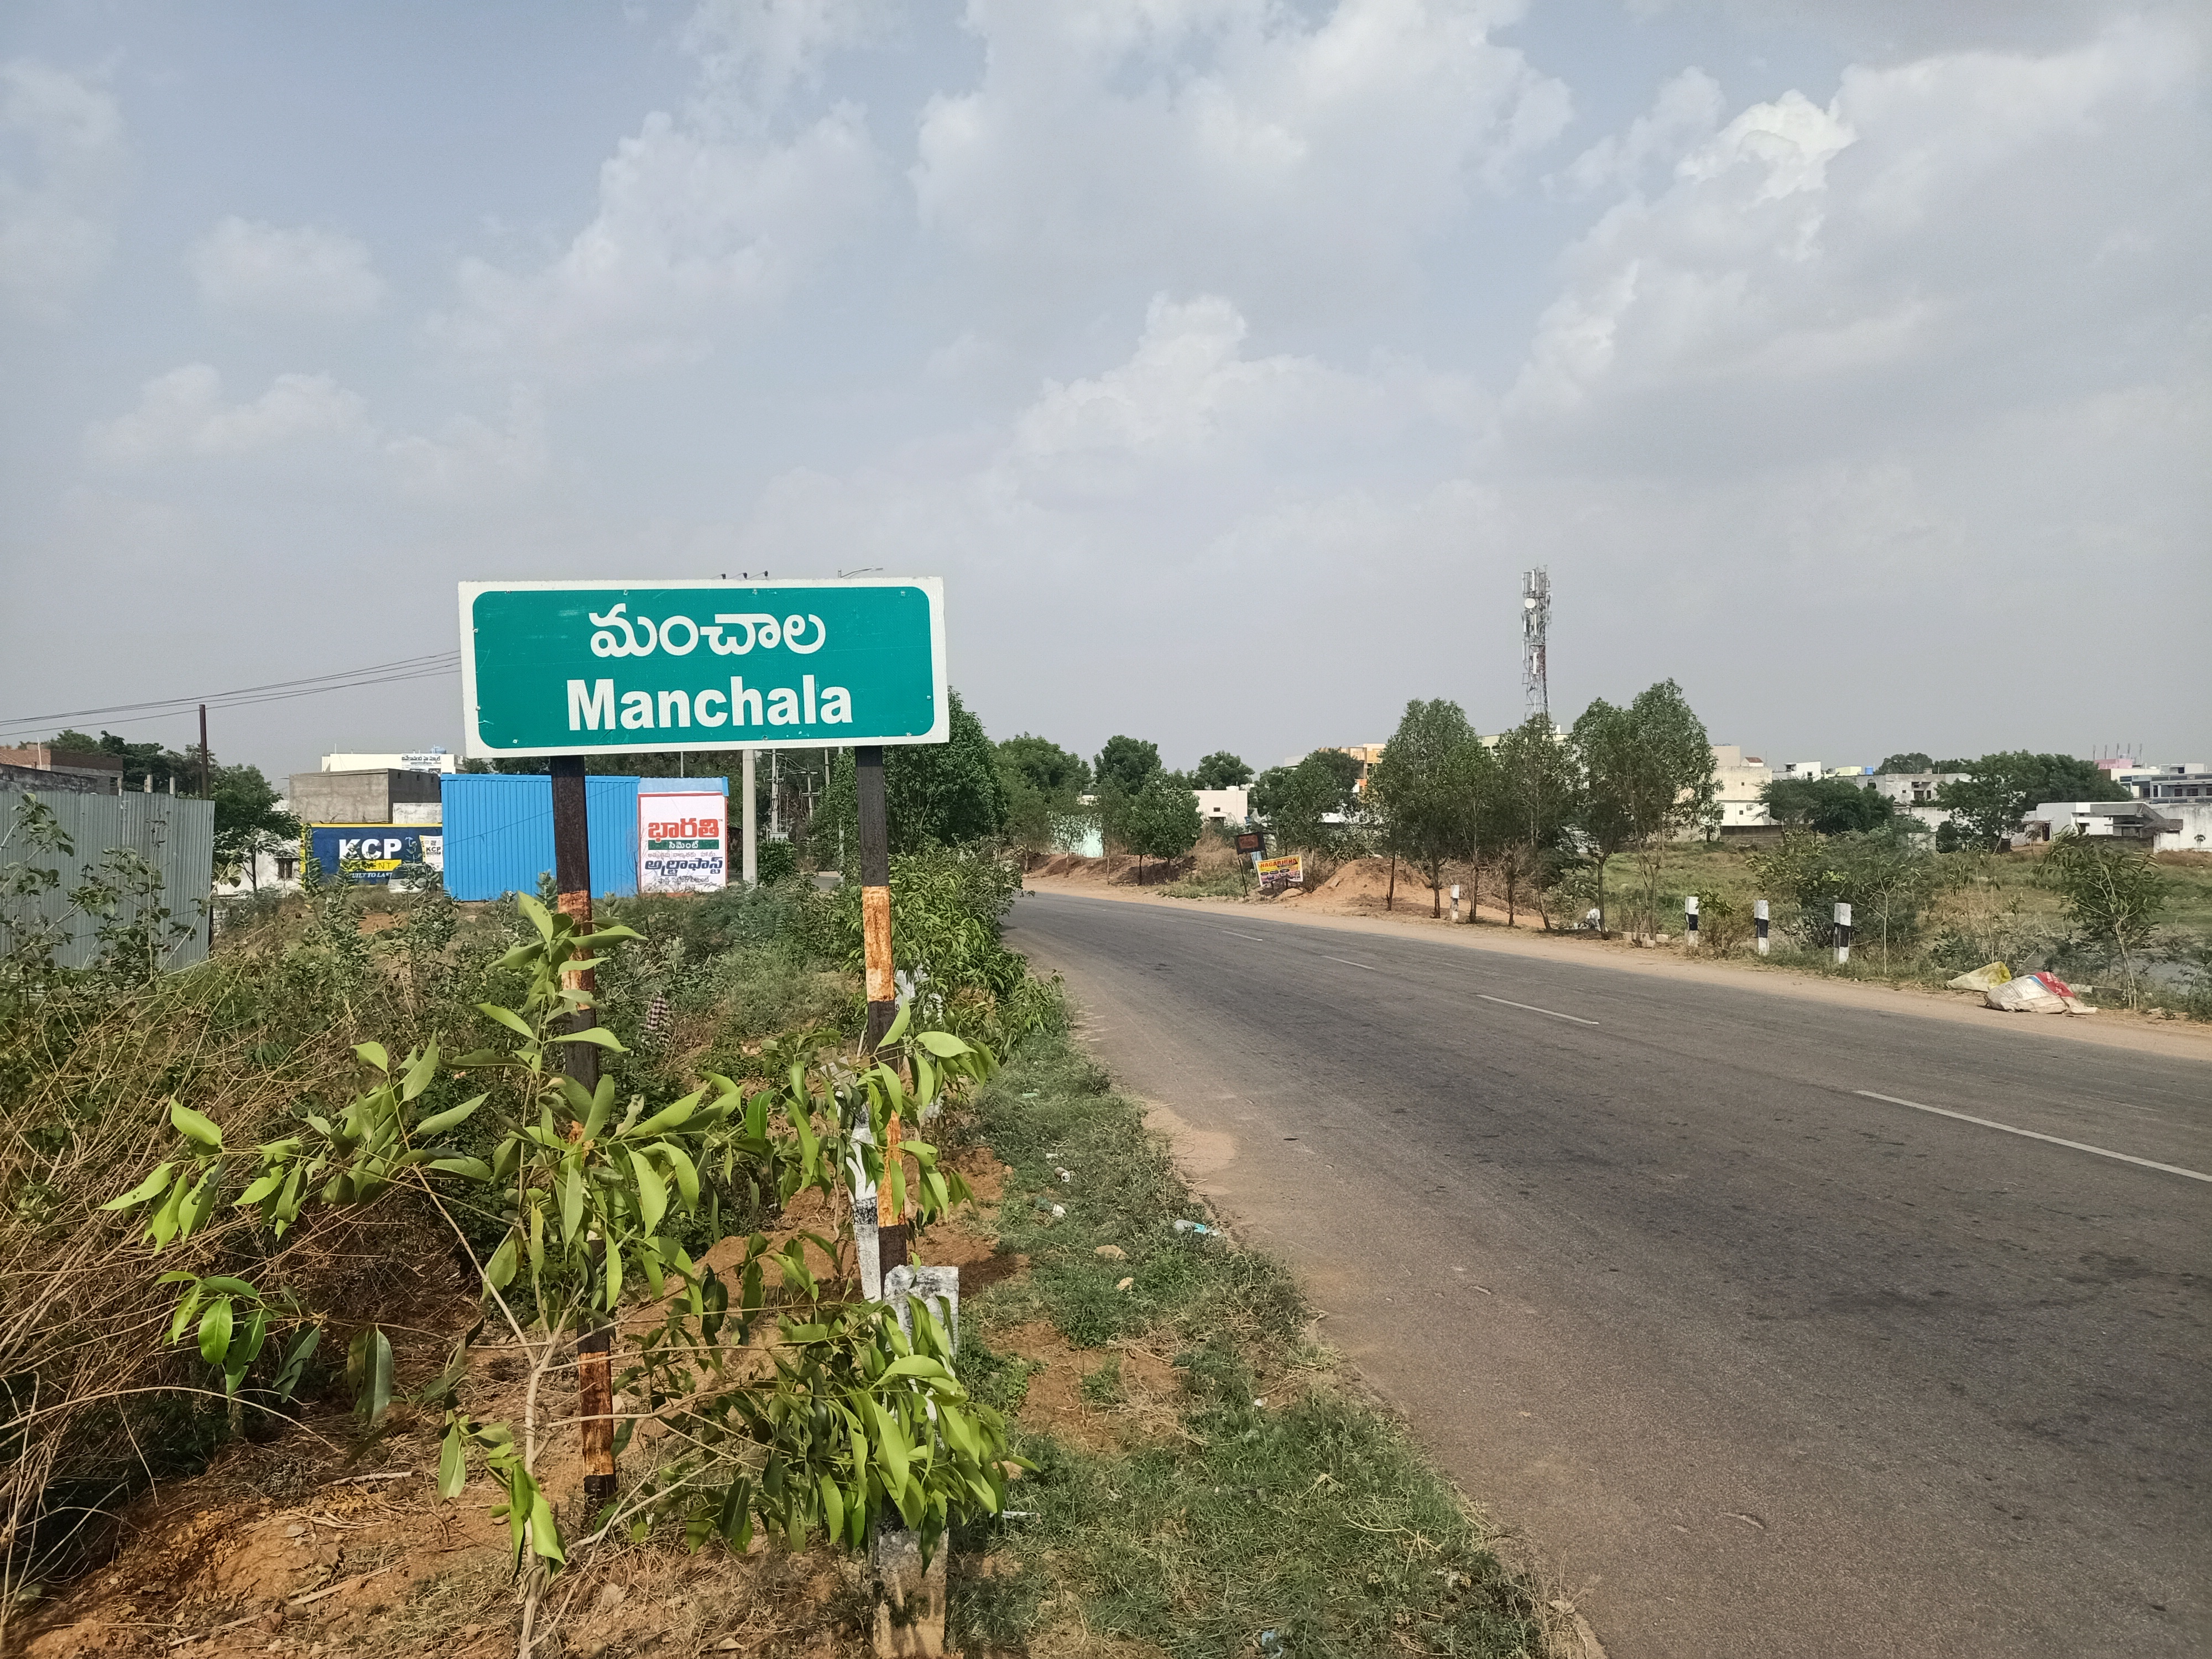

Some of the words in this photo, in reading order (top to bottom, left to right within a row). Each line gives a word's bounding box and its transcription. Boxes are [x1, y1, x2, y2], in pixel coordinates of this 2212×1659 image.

[583, 591, 833, 663] మంచాల
[564, 666, 855, 737] Manchala
[644, 812, 721, 847] భారతి
[645, 846, 672, 862] అత్యుత్తమ
[669, 846, 699, 862] నాణ్యతకు
[667, 837, 703, 852] సిమెంట్
[644, 853, 726, 878] అల్ట్రాఫాస్ట్
[698, 850, 719, 860] హామీ.